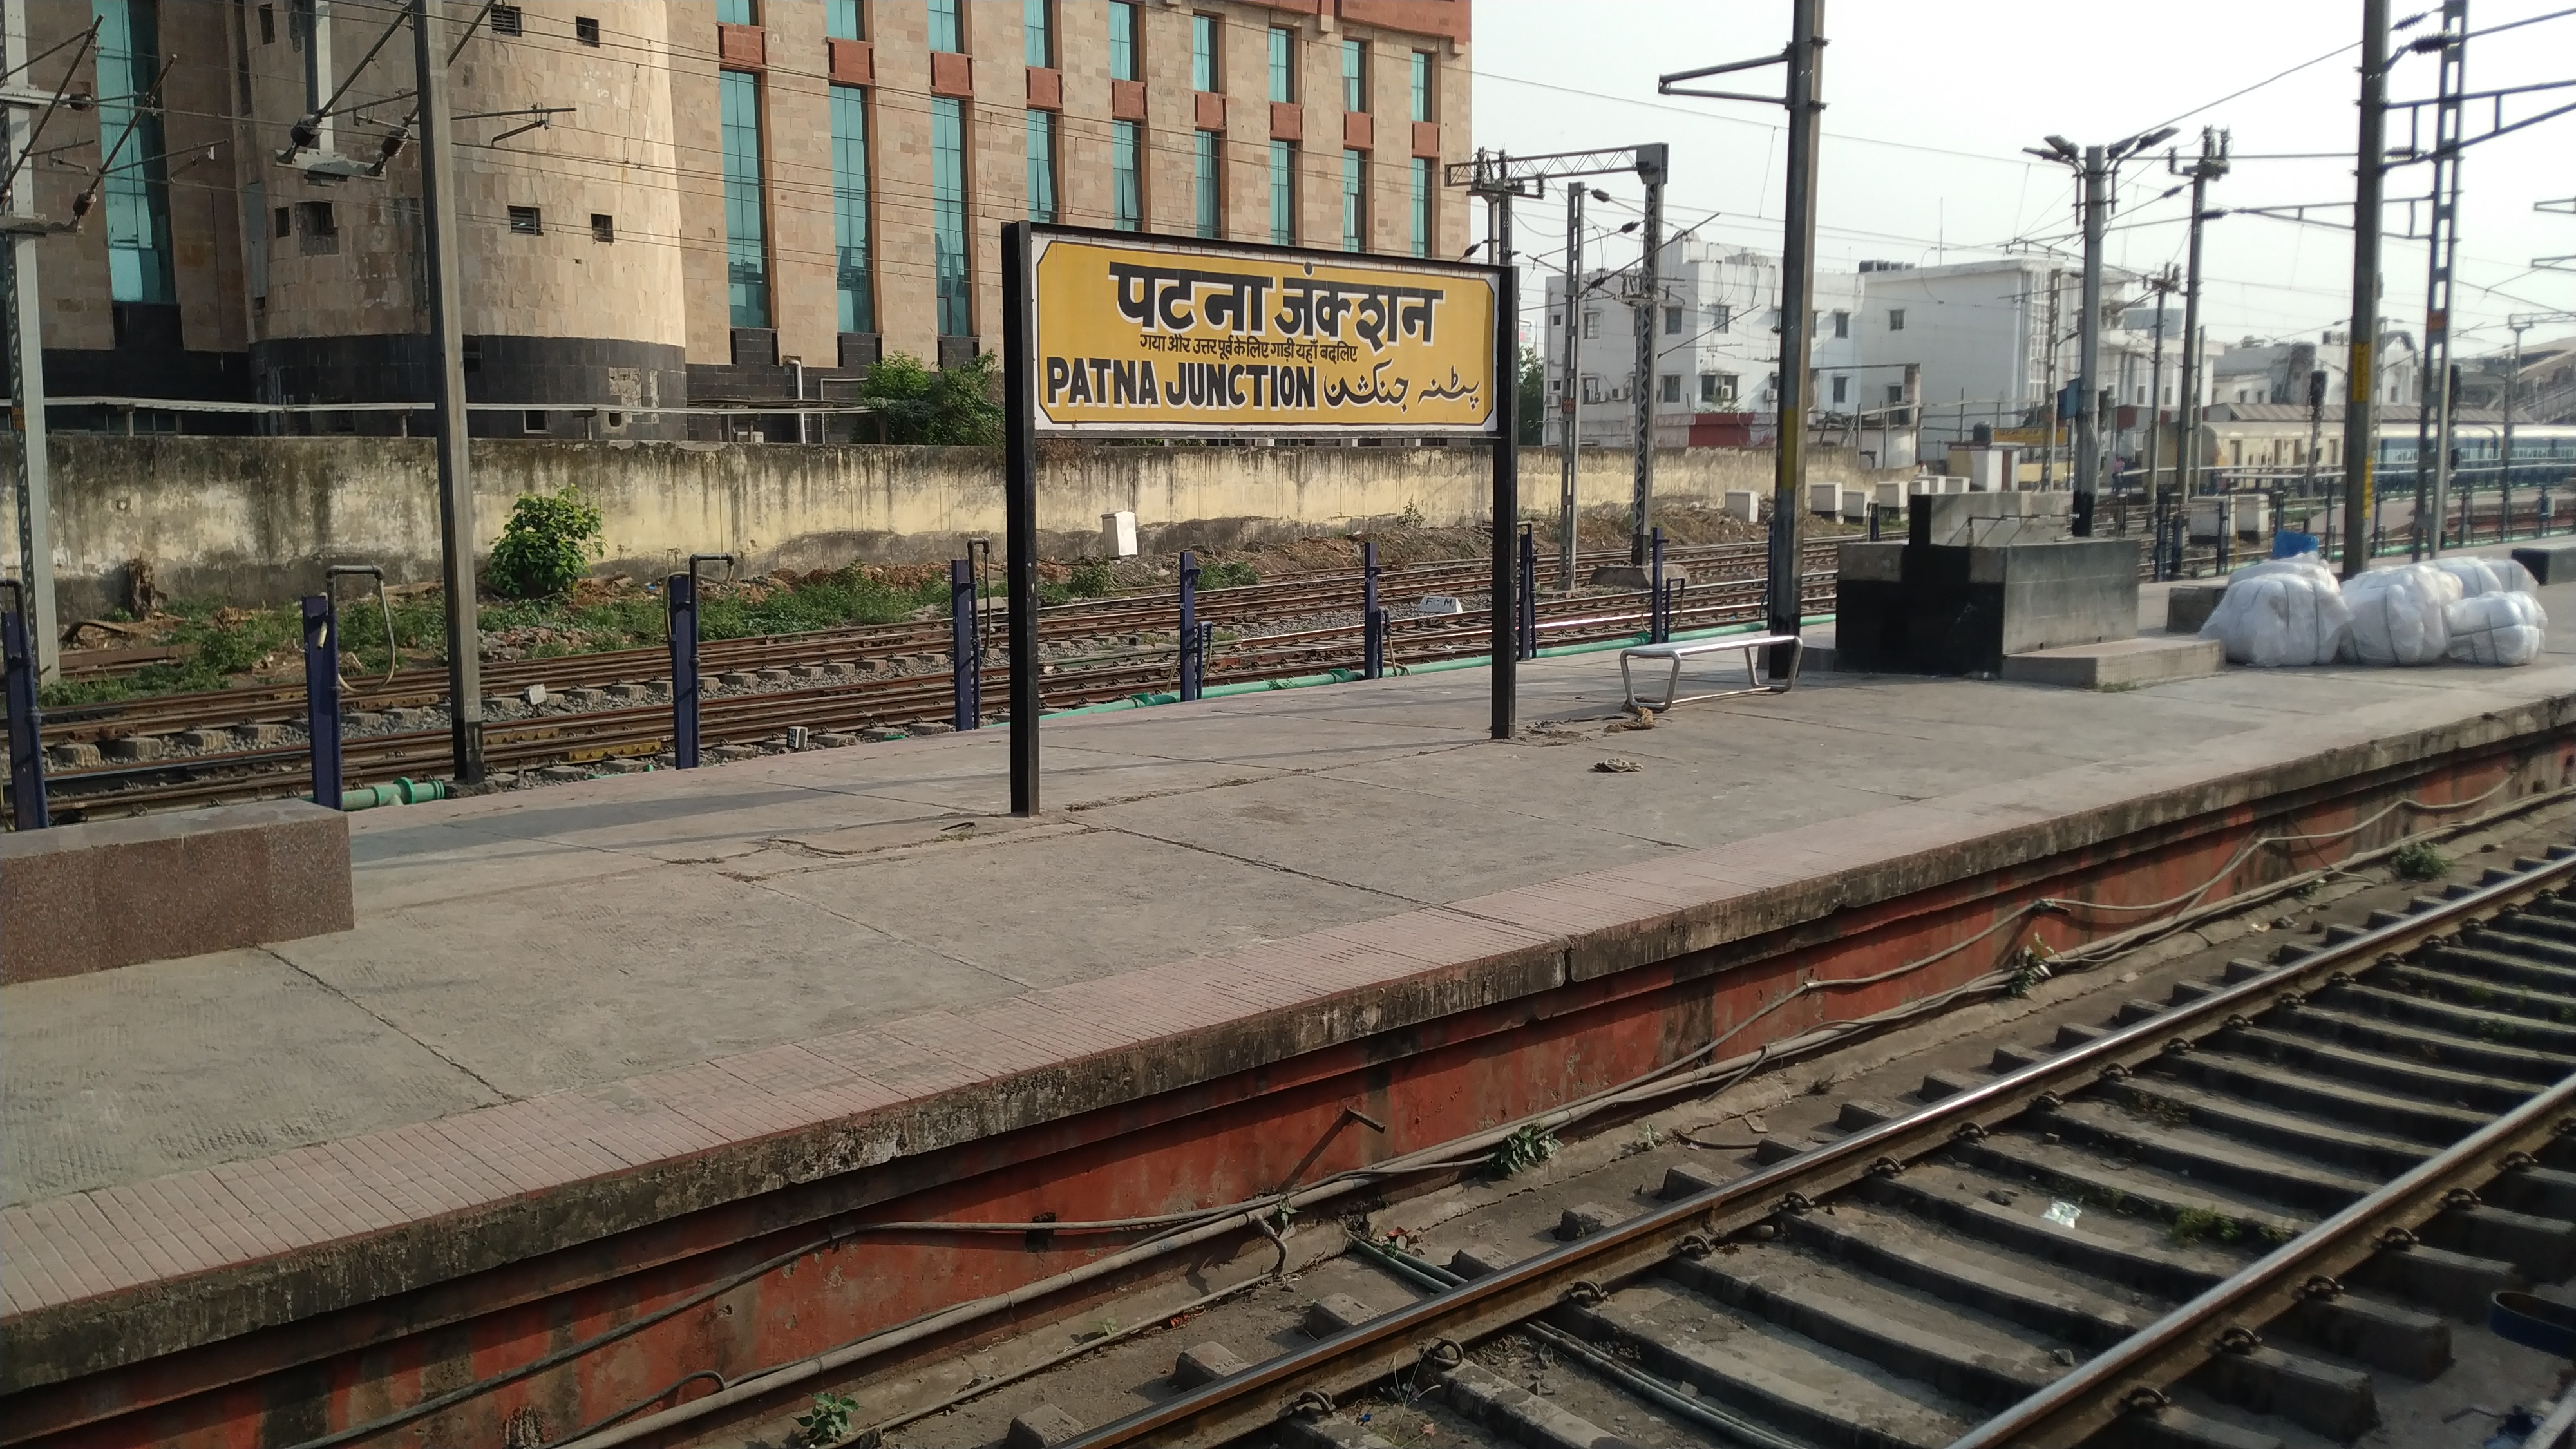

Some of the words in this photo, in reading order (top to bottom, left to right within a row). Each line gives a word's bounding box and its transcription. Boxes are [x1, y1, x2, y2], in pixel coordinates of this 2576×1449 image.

[1105, 261, 1274, 336] पटना
[1272, 260, 1447, 358] जंक्शन
[1137, 332, 1169, 352] गया
[1166, 330, 1195, 355] और
[1189, 337, 1219, 357] उत्तर
[1217, 333, 1235, 361] पूर्व
[1232, 334, 1247, 359] के
[1244, 332, 1272, 361] लिए
[1267, 335, 1298, 365] गाड़ी
[1295, 337, 1320, 366] यहाँ
[1319, 338, 1361, 366] बदलिए
[1047, 354, 1162, 409] PATNA
[1162, 361, 1319, 413] JUNCTION